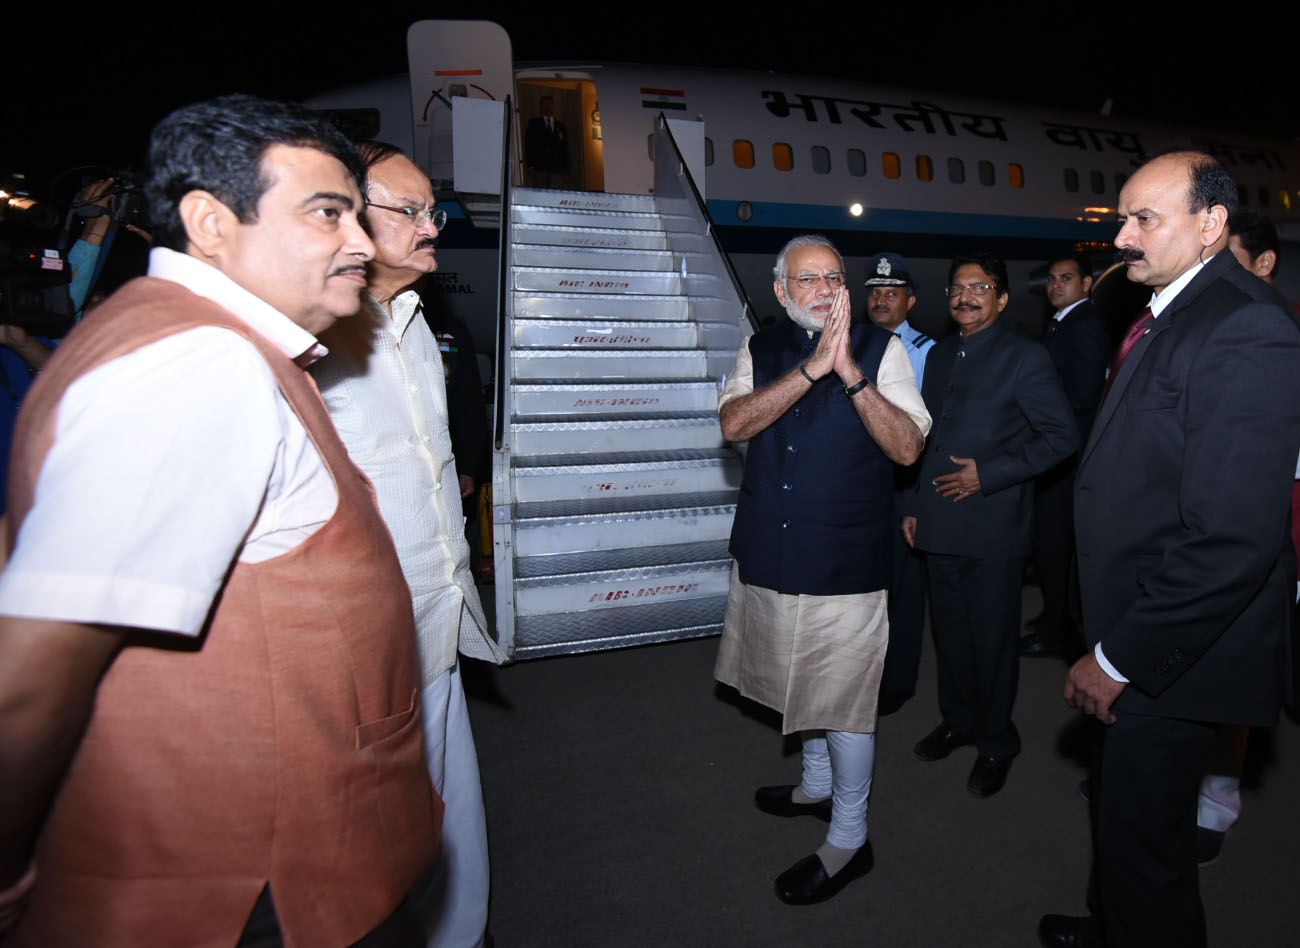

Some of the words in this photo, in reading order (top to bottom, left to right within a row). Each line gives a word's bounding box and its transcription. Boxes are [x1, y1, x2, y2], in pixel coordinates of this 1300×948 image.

[761, 89, 1008, 145] भारतीय
[1041, 119, 1151, 171] वायु